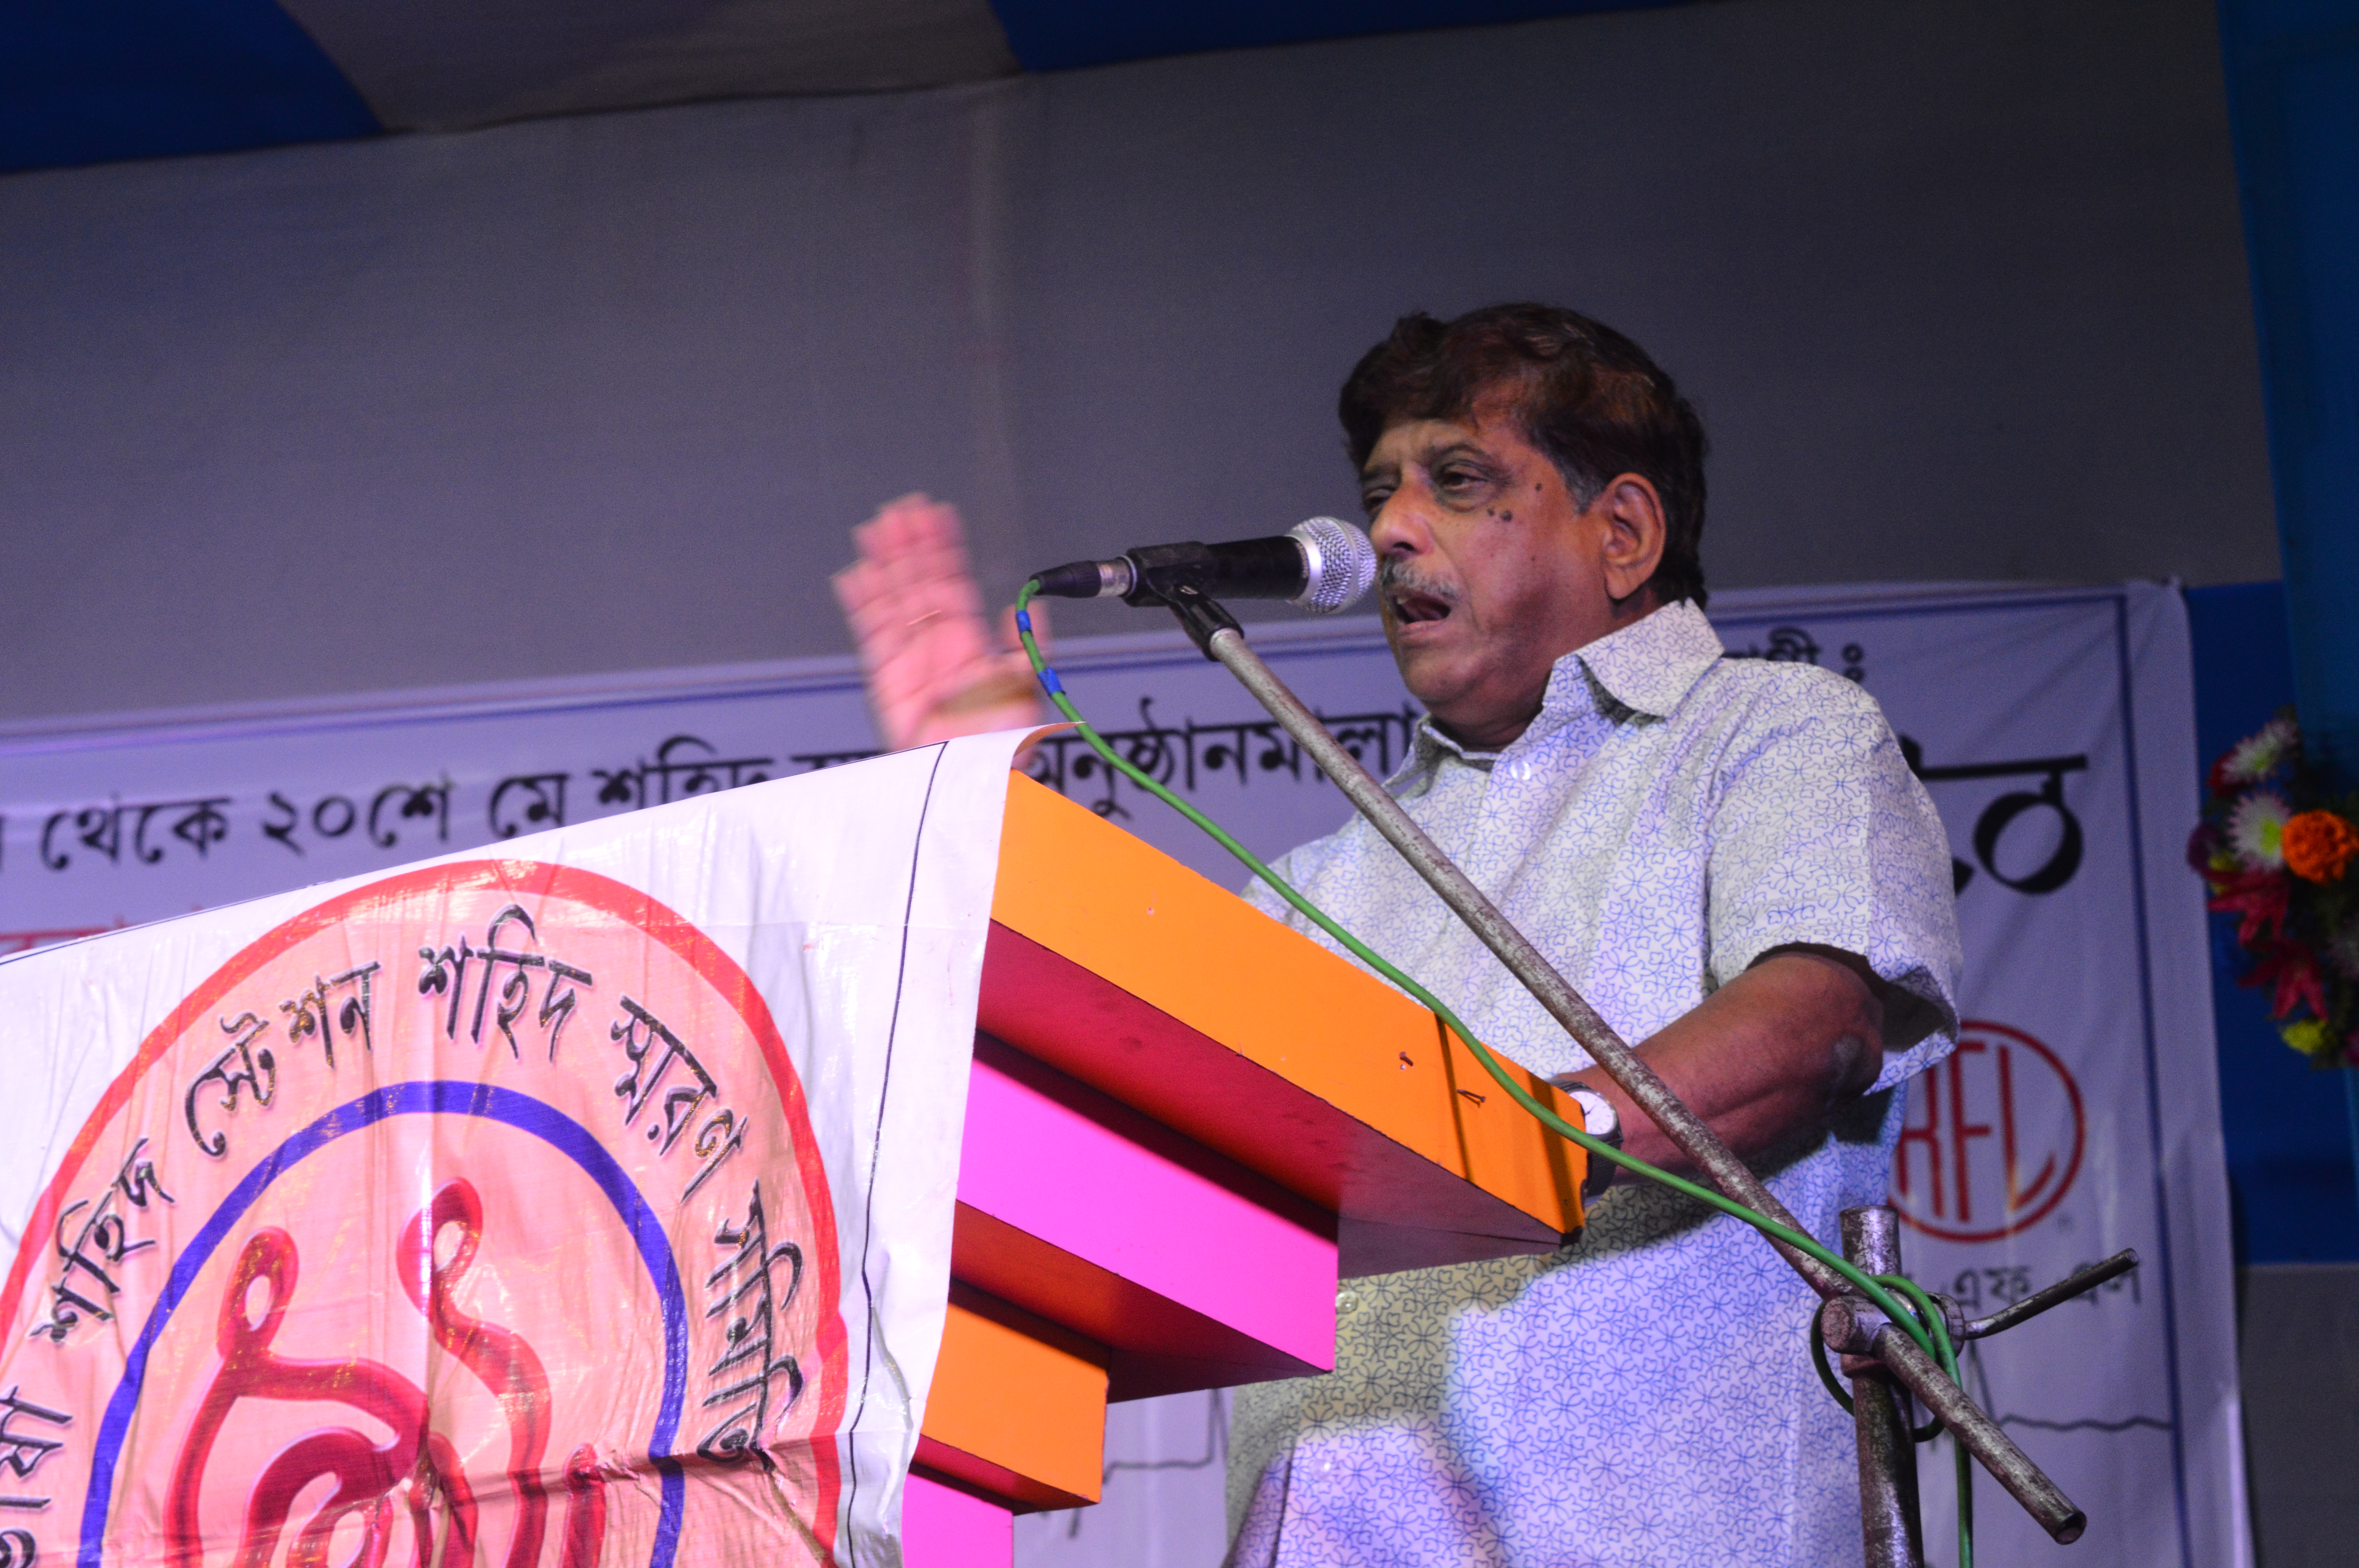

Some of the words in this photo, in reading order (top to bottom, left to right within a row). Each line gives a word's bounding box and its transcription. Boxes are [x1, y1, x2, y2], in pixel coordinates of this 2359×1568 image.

[34, 780, 234, 876] থেকে
[253, 765, 457, 854] ২০শে
[480, 754, 567, 844] মে
[180, 954, 382, 1165] স্টেশন
[412, 901, 596, 1069] শহিদ
[603, 986, 751, 1208] স্মরণ
[22, 1131, 184, 1354] শহিদ
[692, 1174, 813, 1481] সমিতি